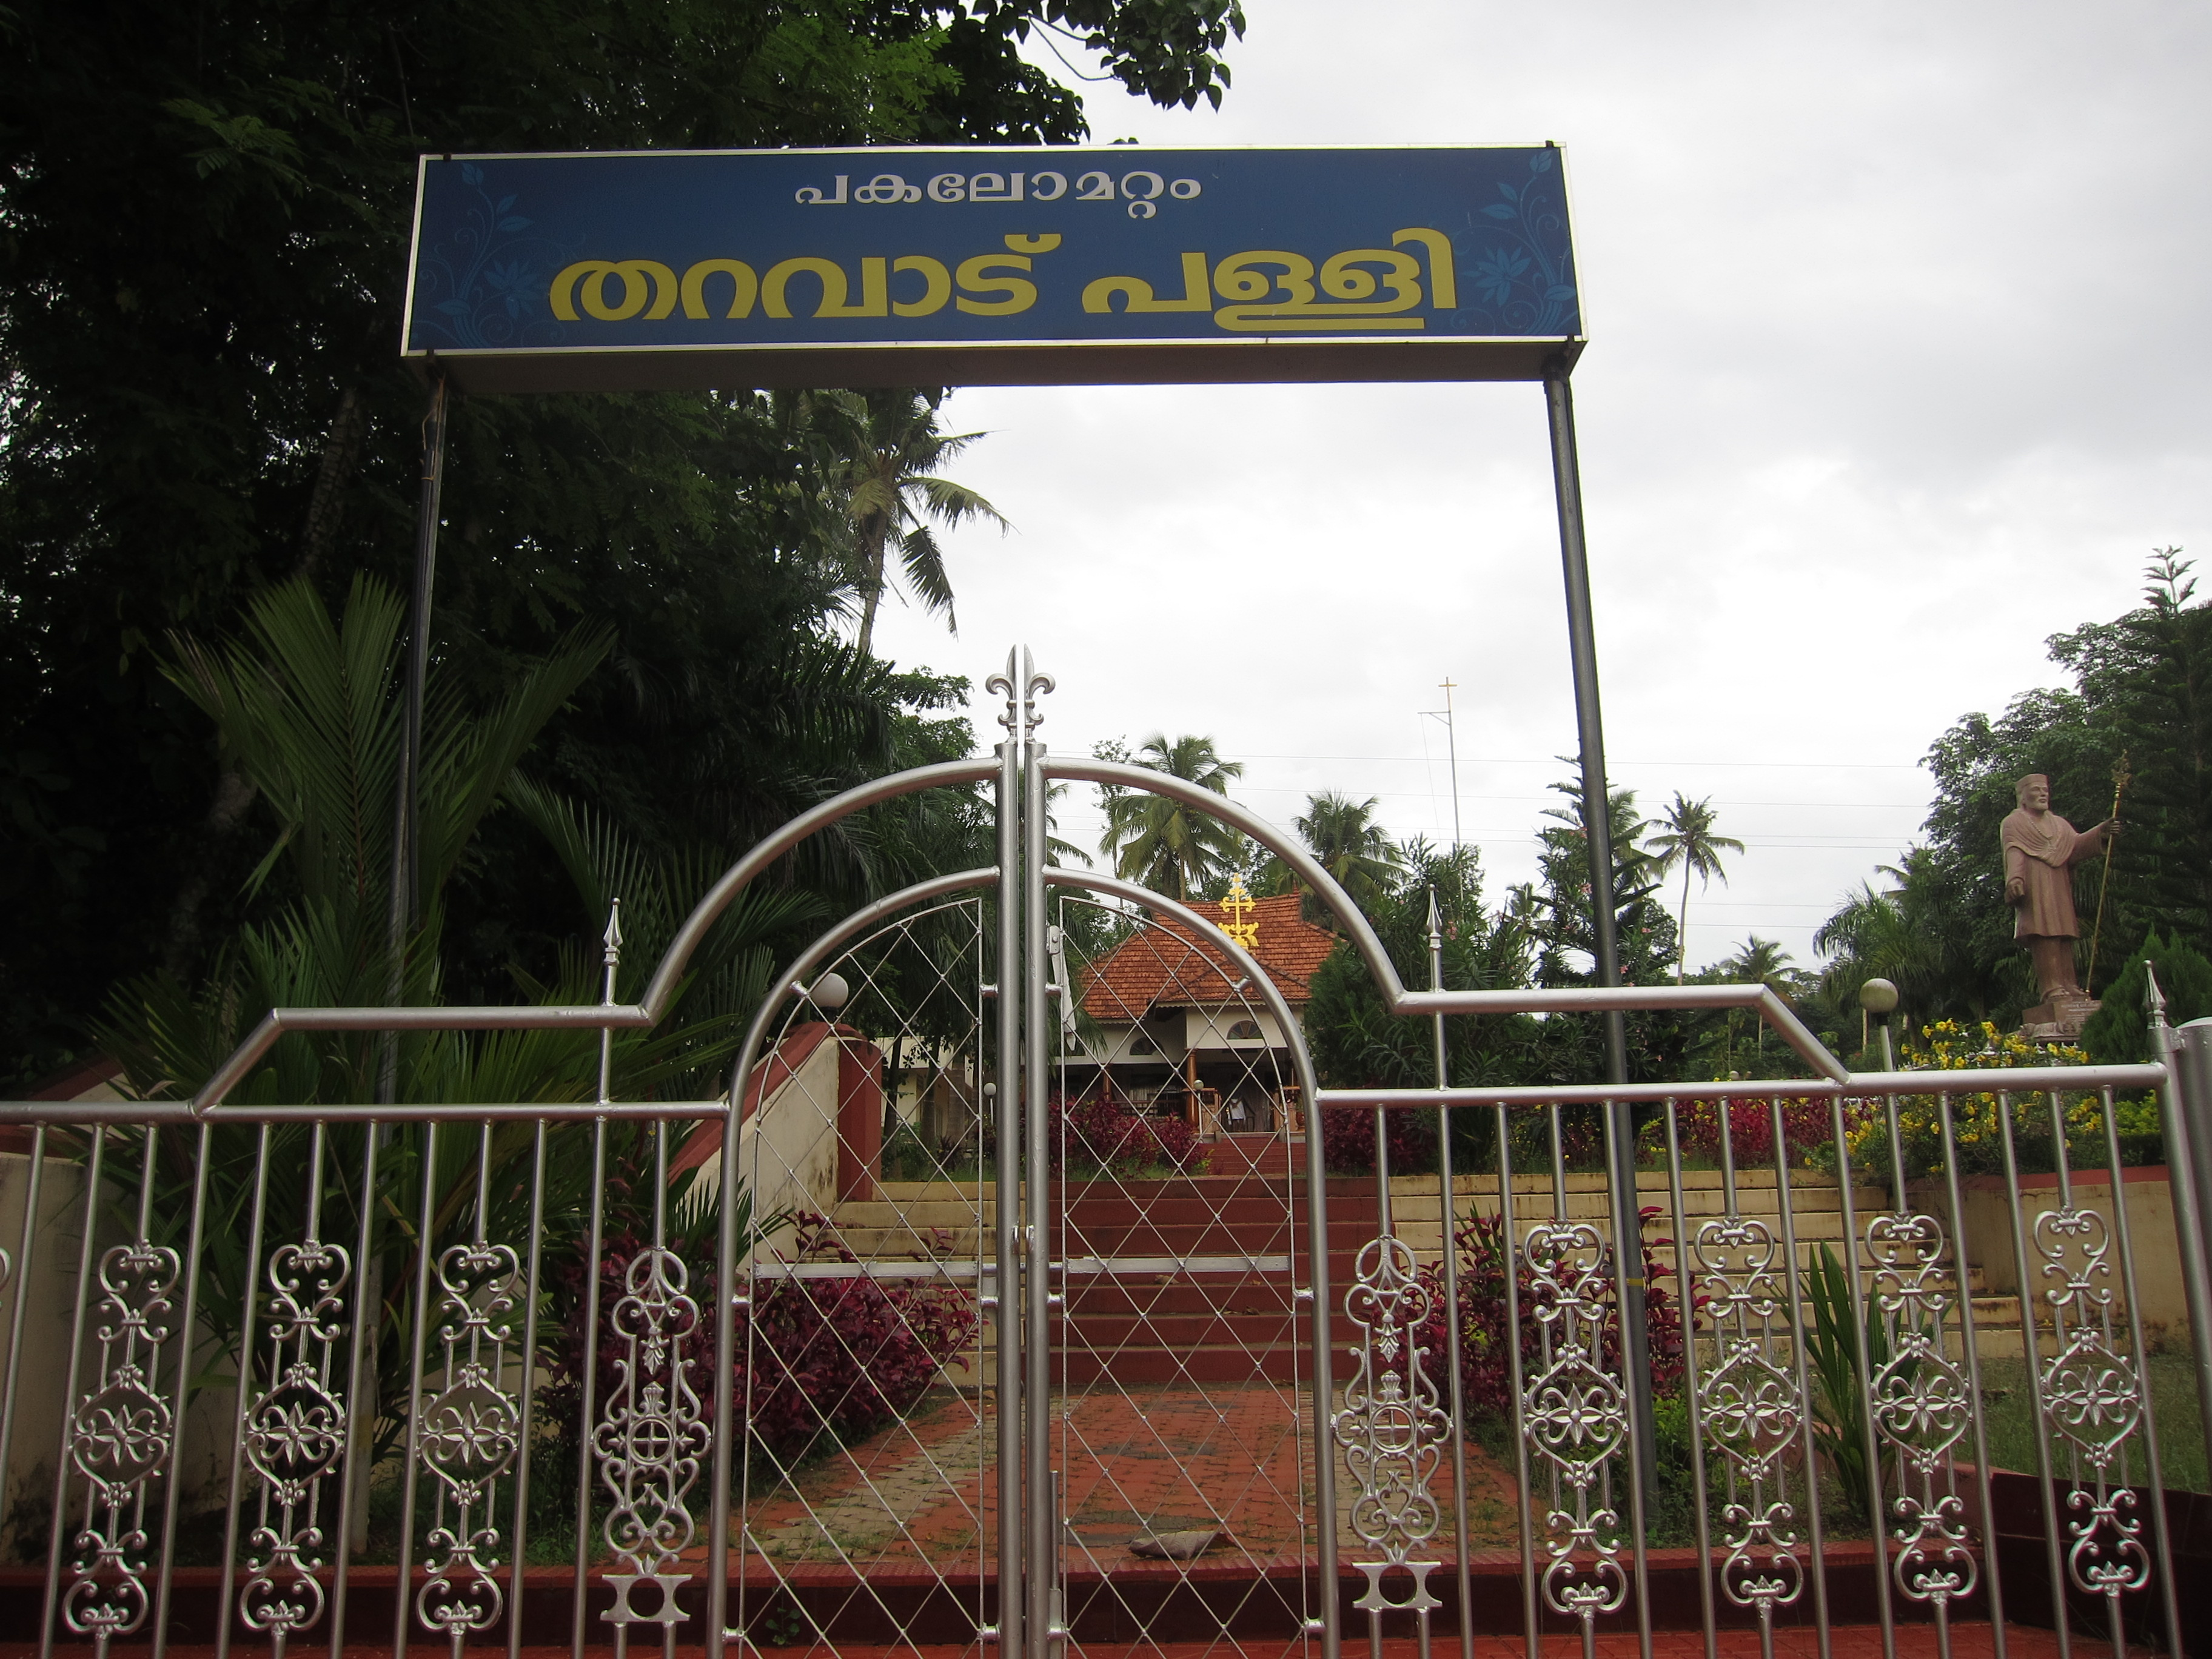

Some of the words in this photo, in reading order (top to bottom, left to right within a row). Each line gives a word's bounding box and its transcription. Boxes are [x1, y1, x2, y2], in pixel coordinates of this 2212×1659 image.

[793, 158, 1205, 224] പകലോമറ്റം
[545, 228, 1062, 326] തറവാട്
[1072, 221, 1460, 334] പള്ളി